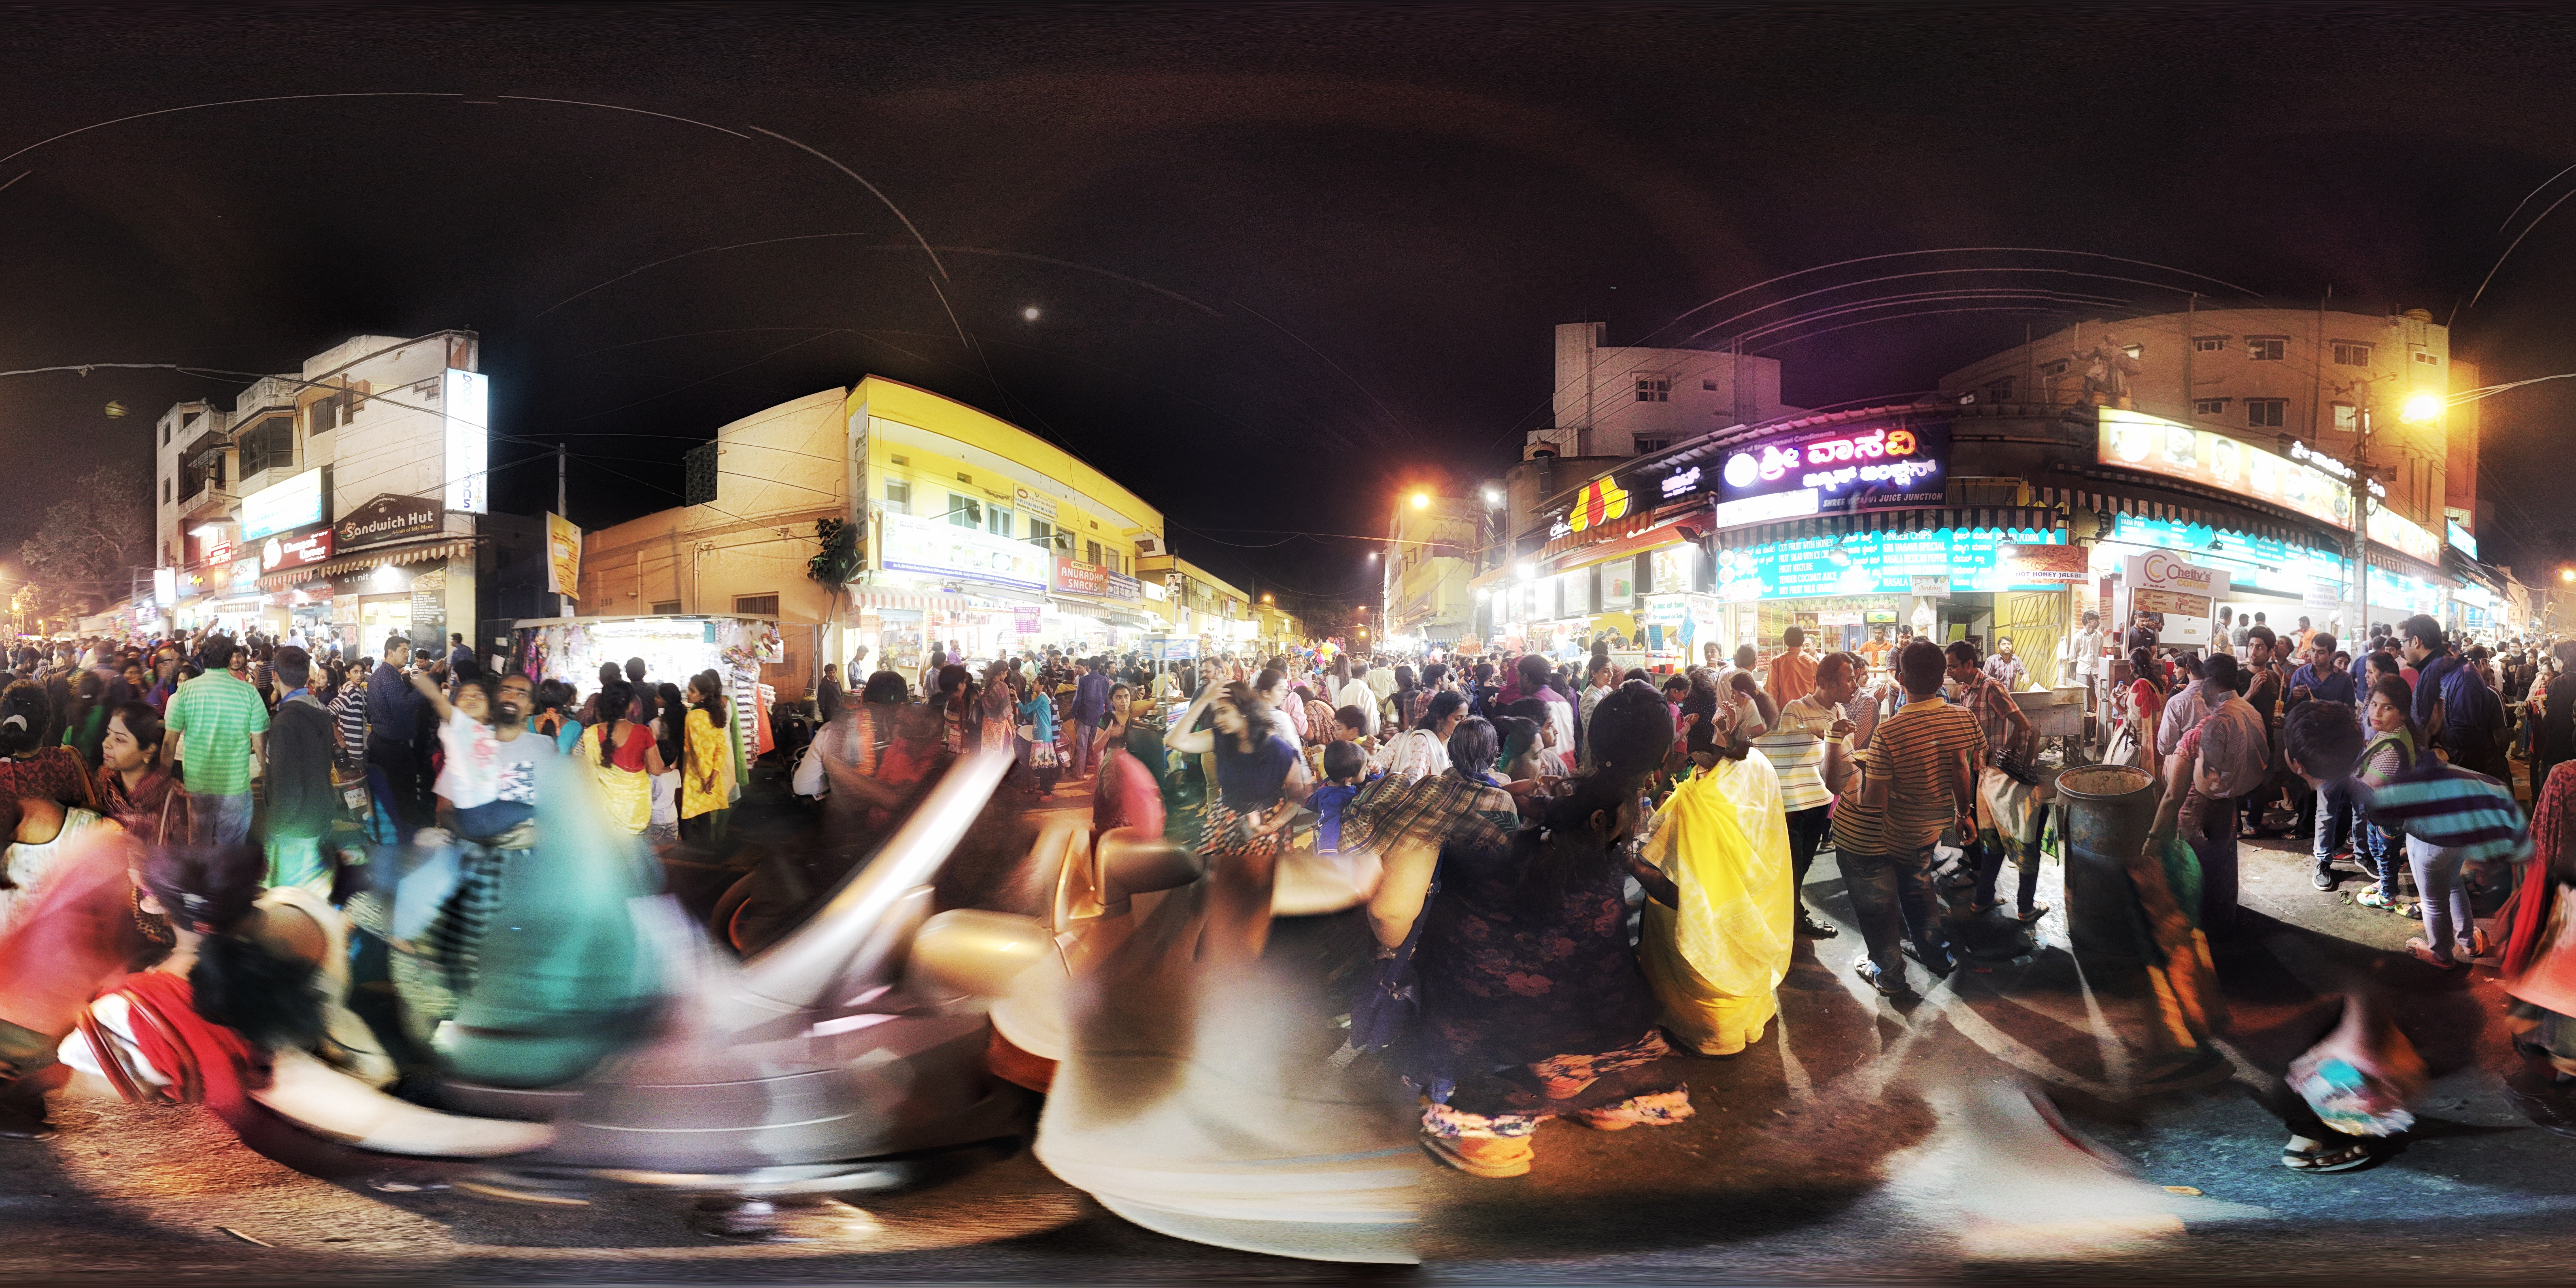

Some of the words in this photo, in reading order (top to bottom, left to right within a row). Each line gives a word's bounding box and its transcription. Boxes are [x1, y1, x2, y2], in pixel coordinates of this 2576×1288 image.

[1807, 425, 1918, 466] ವಾಸವಿ
[1757, 443, 1801, 483] ಶ್ರೀ
[1858, 457, 1938, 487] ಅಂಪ್ಷನ್
[1875, 492, 1903, 504] JUICE
[1901, 492, 1947, 502] JUNCTION
[1033, 504, 1058, 516] INDUSTRIES
[406, 507, 434, 528] Hut
[281, 536, 319, 555] Chinese
[295, 544, 327, 561] Corner
[344, 513, 406, 540] Sandwich
[389, 528, 397, 536] A
[395, 527, 407, 536] Unit
[404, 525, 412, 536] of
[409, 524, 421, 533] Idly
[419, 521, 434, 532] Mane
[1071, 559, 1085, 570] ಅನುರಾಧ
[1059, 565, 1105, 584] ANURADHA
[1065, 578, 1100, 593] SNACKS
[1761, 542, 1777, 556] ಚೂತಗ
[1775, 585, 1790, 596] DRY
[1777, 542, 1790, 555] CUT
[1776, 553, 1791, 565] FRUIT
[1777, 564, 1793, 574] FRUIT
[1777, 574, 1798, 584] TENDER
[1785, 540, 1804, 553] FRUIT
[1787, 584, 1804, 596] FRUIT
[1788, 549, 1804, 562] SALAD
[1791, 560, 1816, 572] MIXTURE
[1801, 549, 1815, 562] WITH
[1795, 571, 1822, 584] COCONUT
[1801, 539, 1817, 551] WITH
[1801, 583, 1818, 595] MILK
[1812, 549, 1823, 561] ICE
[1814, 537, 1834, 550] HONEY
[1819, 570, 1840, 583] JUICE
[1840, 533, 1859, 546] ಸಗರ್
[1858, 543, 1879, 557] ಸ್ಪೇಷಲ್
[1881, 542, 1896, 555] SRI
[1879, 553, 1904, 565] MASALA
[1880, 576, 1911, 587] MASALA
[1881, 530, 1911, 542] FINGER
[1892, 542, 1919, 553] VASAVI
[1902, 553, 1929, 565] MEXICAN
[1908, 528, 1933, 542] CHIPS
[1917, 582, 1944, 591] Arabian
[1917, 540, 1947, 553] SPECIAL
[1925, 552, 1949, 564] PEPPER
[1949, 529, 1972, 544] ಪ್ಪಷಲ್
[1951, 551, 1974, 563] ಲೆಮನ್
[1972, 551, 1986, 565] ಜಲ್ಲ
[1971, 540, 1994, 552] ಮಸಾಲ
[2013, 570, 2031, 579] HOT
[2017, 530, 2040, 543] PUDINA
[2031, 569, 2057, 579] HONEY
[2057, 570, 2083, 580] JALEBI
[2164, 561, 2214, 584] Chetty
[2174, 577, 2212, 591] corner